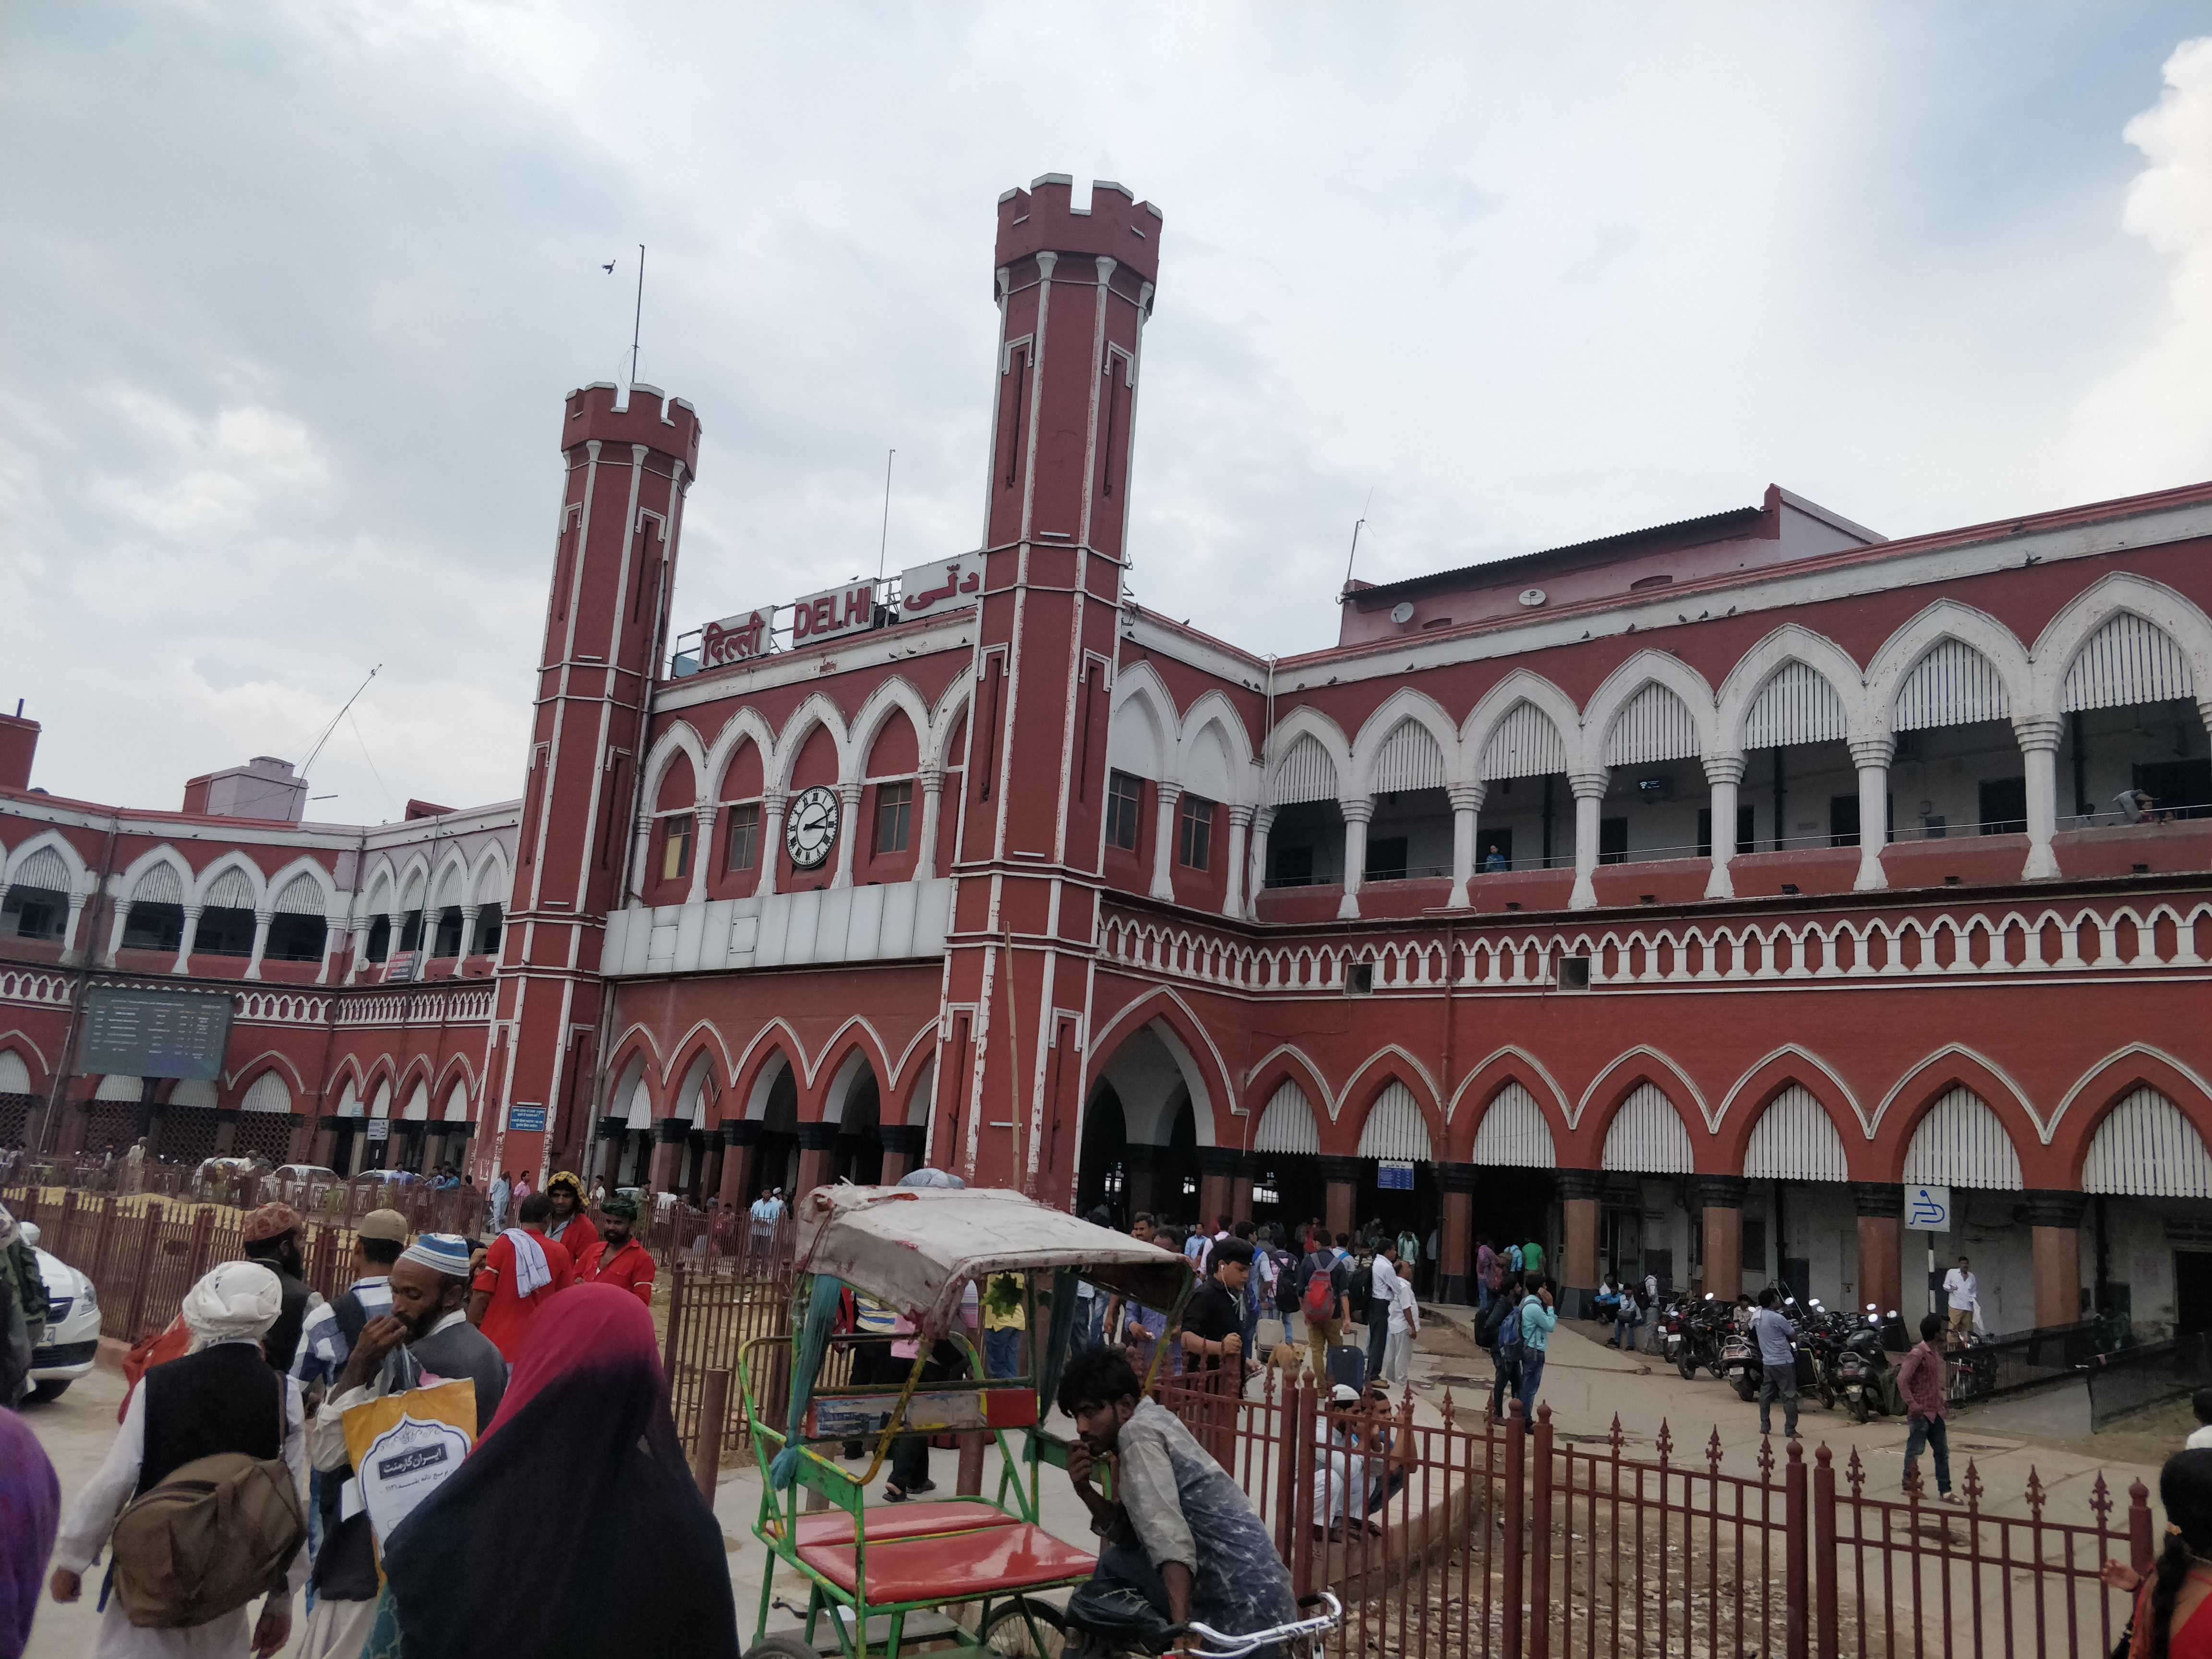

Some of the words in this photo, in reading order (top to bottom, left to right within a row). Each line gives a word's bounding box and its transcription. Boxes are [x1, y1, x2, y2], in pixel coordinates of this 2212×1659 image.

[702, 610, 764, 666] दिल्ली
[793, 586, 871, 639] DELHI